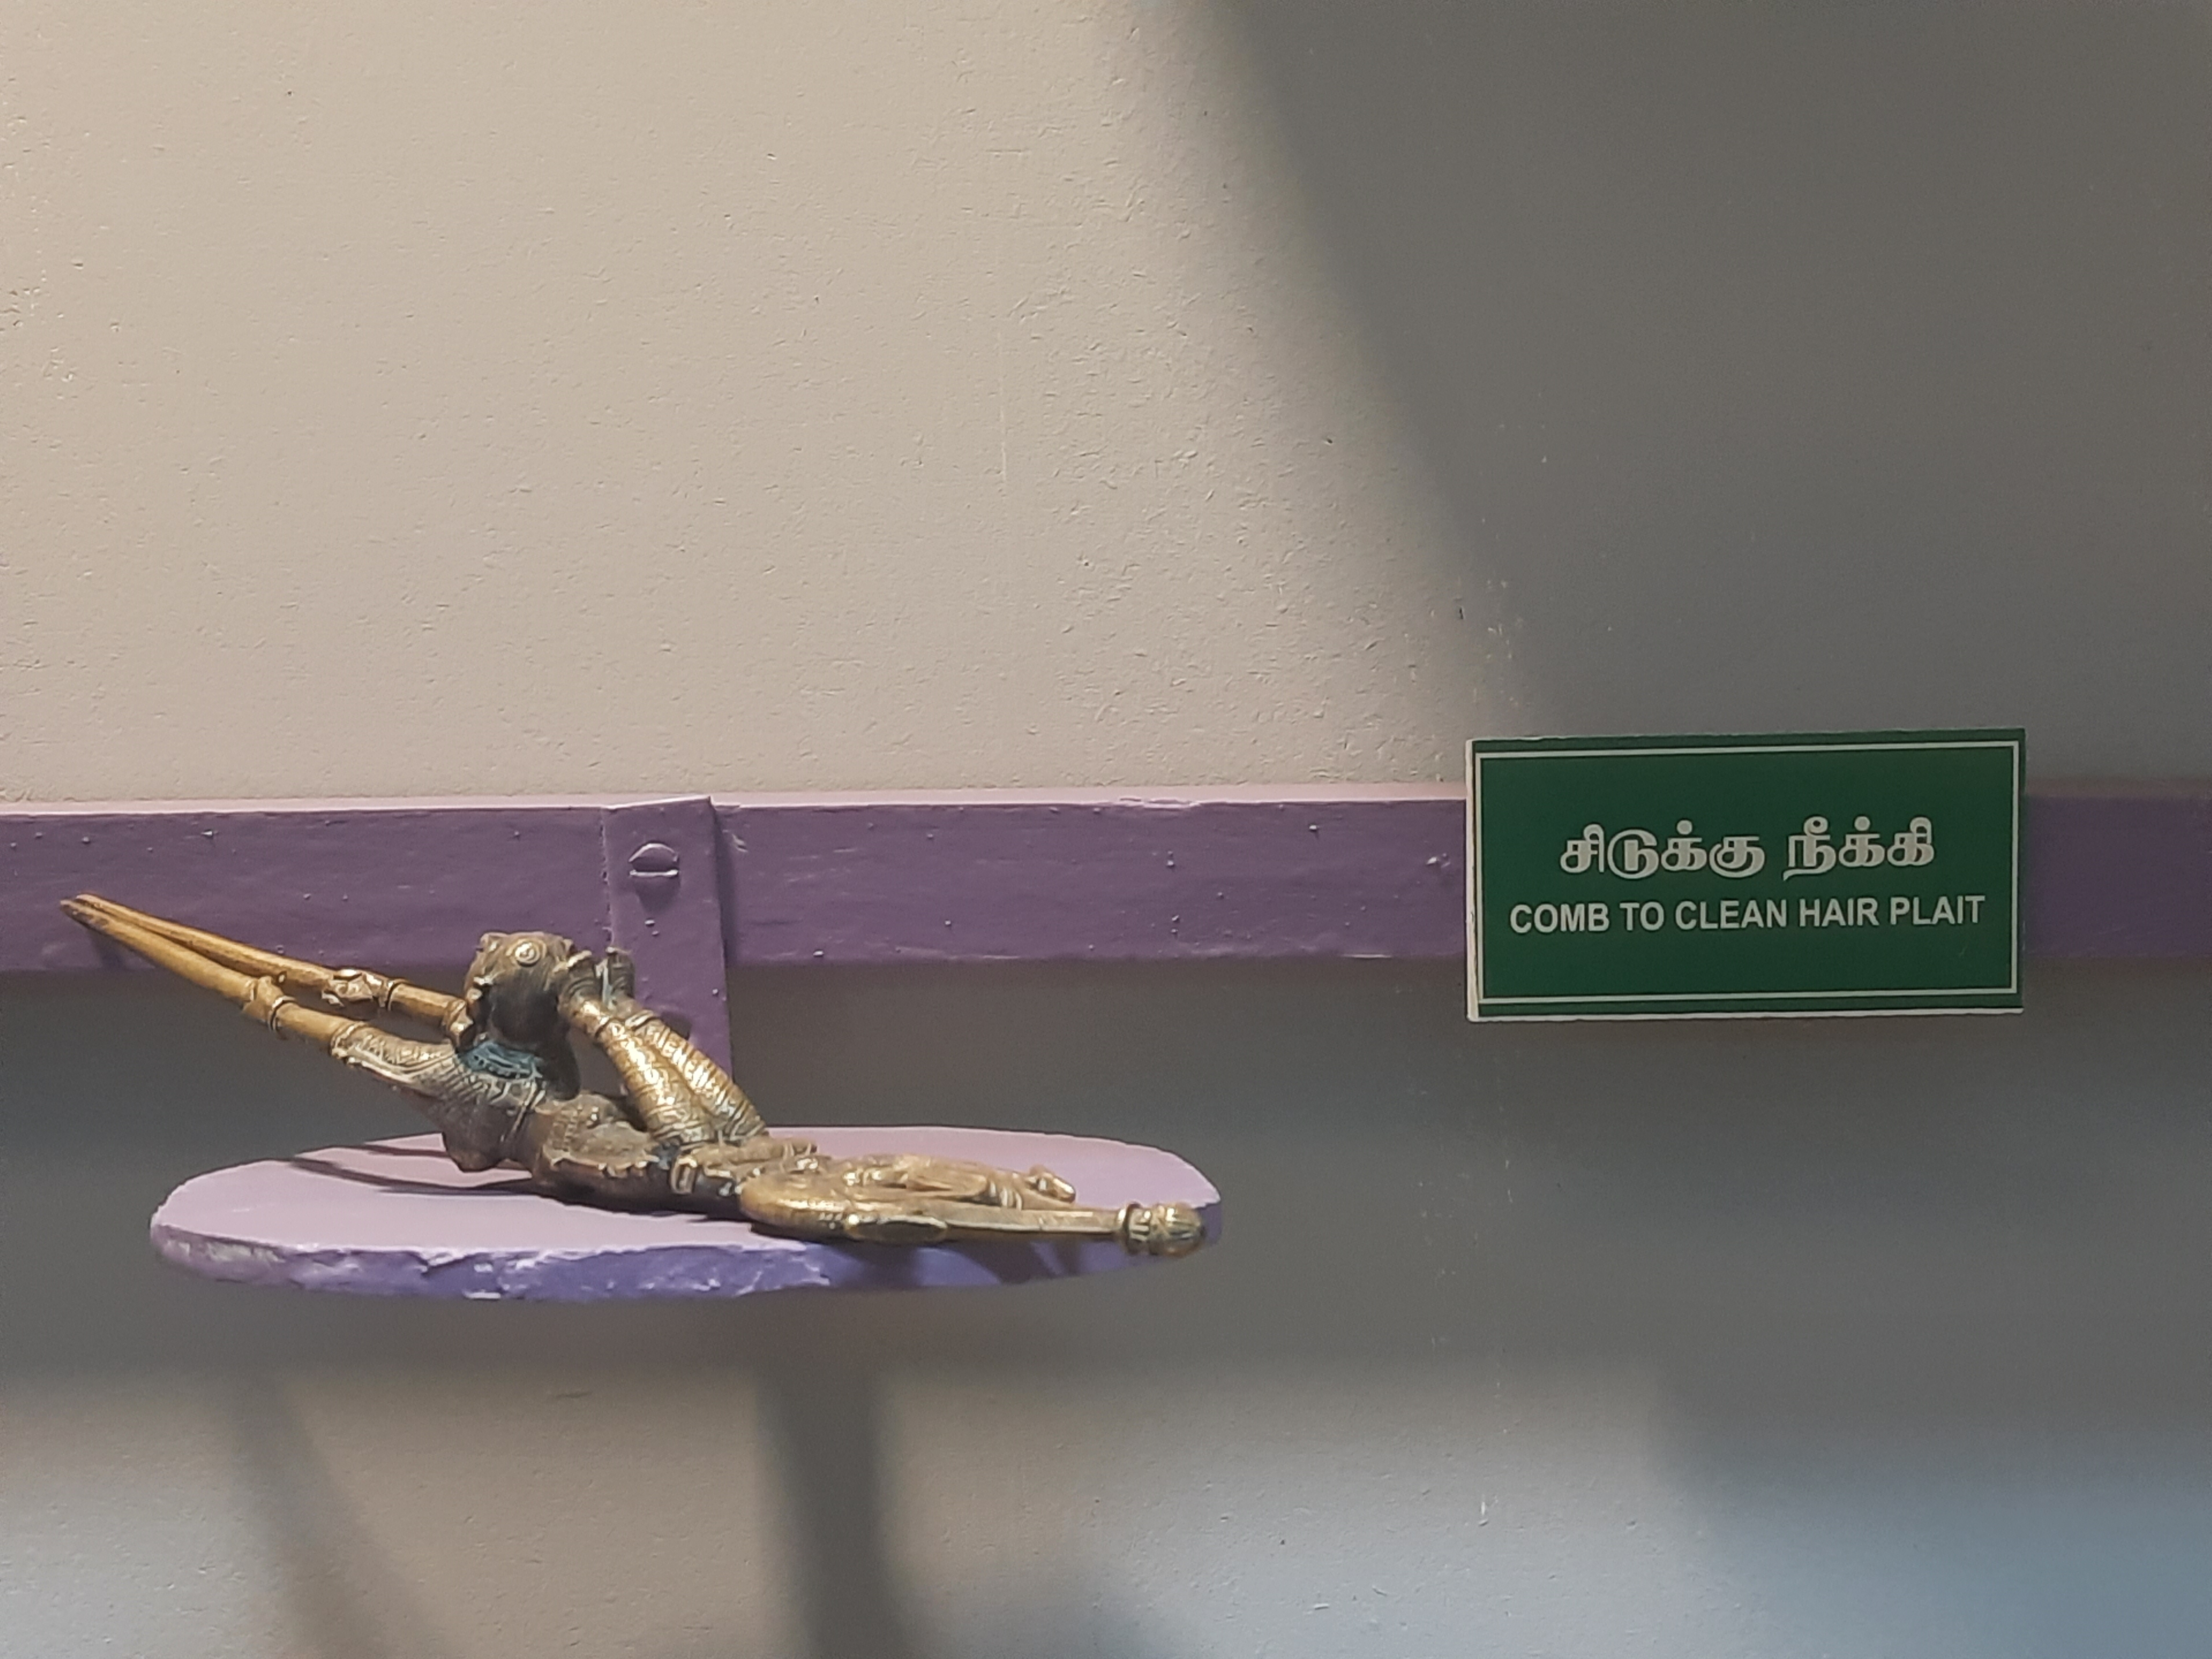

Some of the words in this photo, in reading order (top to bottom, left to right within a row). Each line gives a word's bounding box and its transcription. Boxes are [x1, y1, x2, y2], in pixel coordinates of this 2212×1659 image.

[1556, 815, 1771, 884] சிடுக்க
[1780, 810, 1938, 882] நீக்கி
[1507, 898, 1611, 936] COMB
[1619, 897, 1670, 935] TO
[1670, 893, 1791, 933] CLEAN
[1794, 891, 1885, 929] HAIR
[1890, 892, 1988, 928] PLAIT